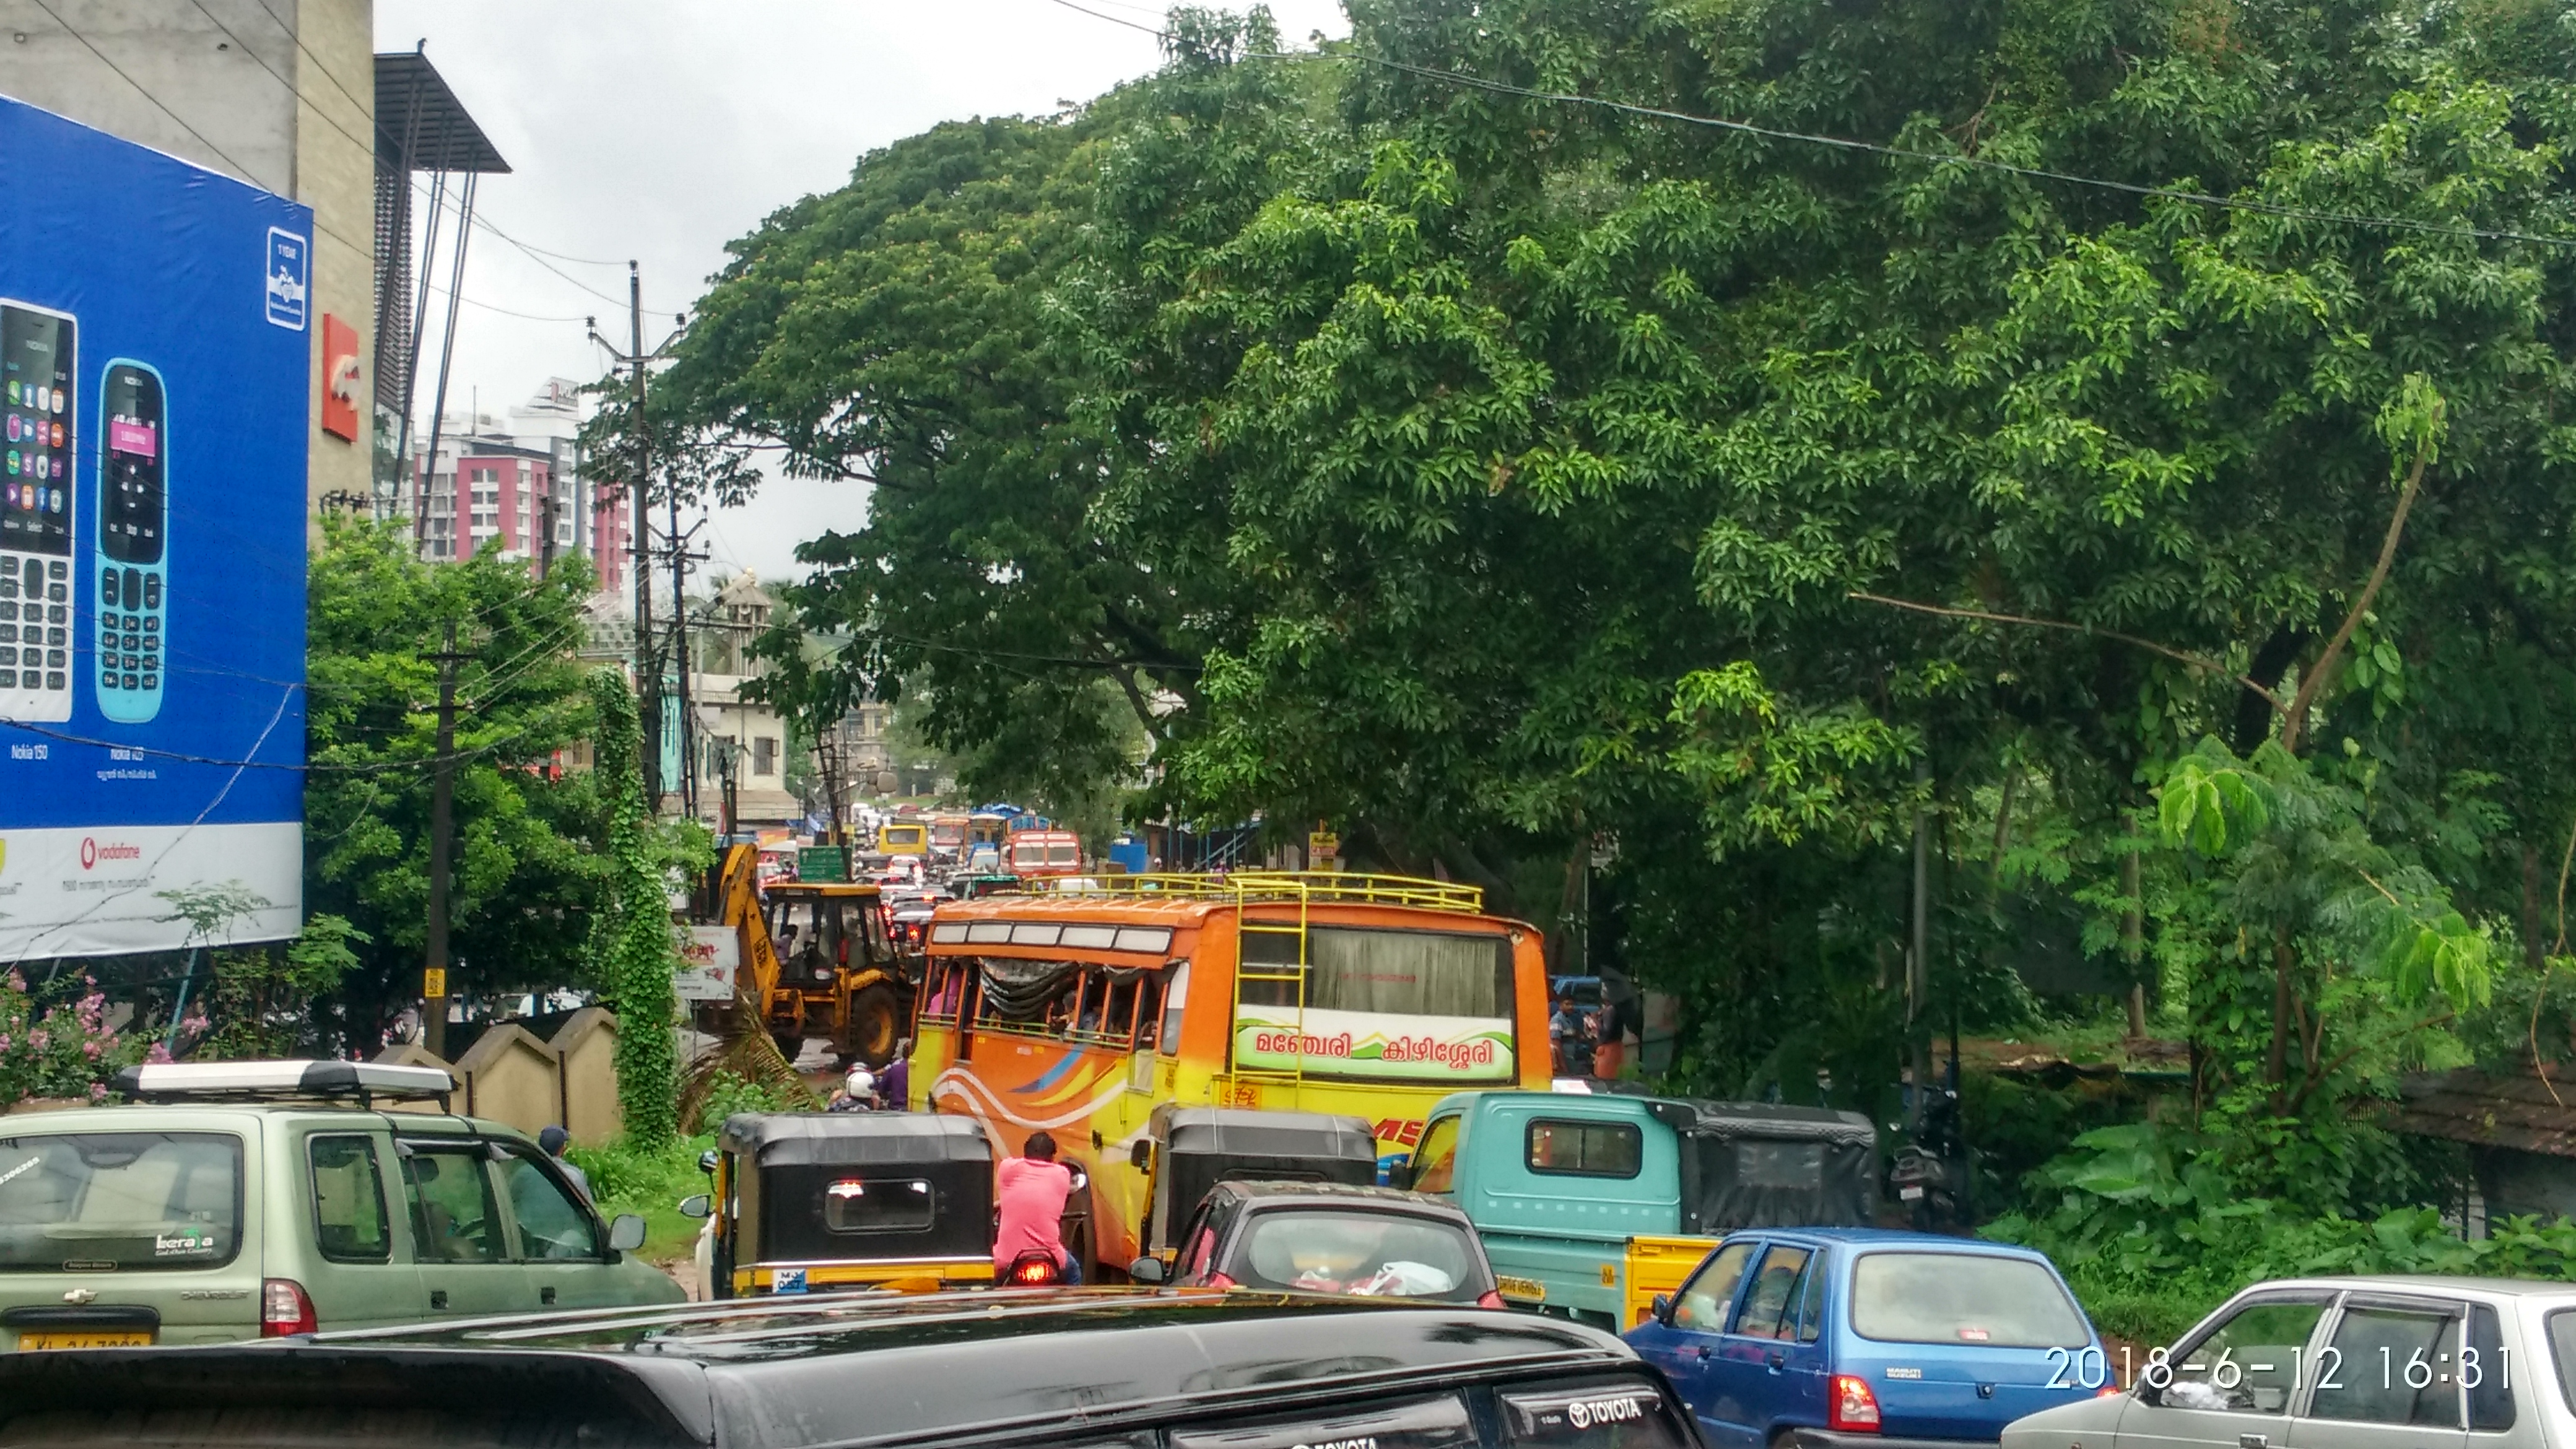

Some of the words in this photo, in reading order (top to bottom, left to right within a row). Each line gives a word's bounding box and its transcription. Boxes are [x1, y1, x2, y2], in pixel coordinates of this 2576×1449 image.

[269, 240, 300, 264] TYEAR
[1253, 1028, 1354, 1061] മഞ്ചേരി
[1380, 1030, 1494, 1072] കിഴിശ്ശേരി
[1580, 1387, 1648, 1430] TOYOTA